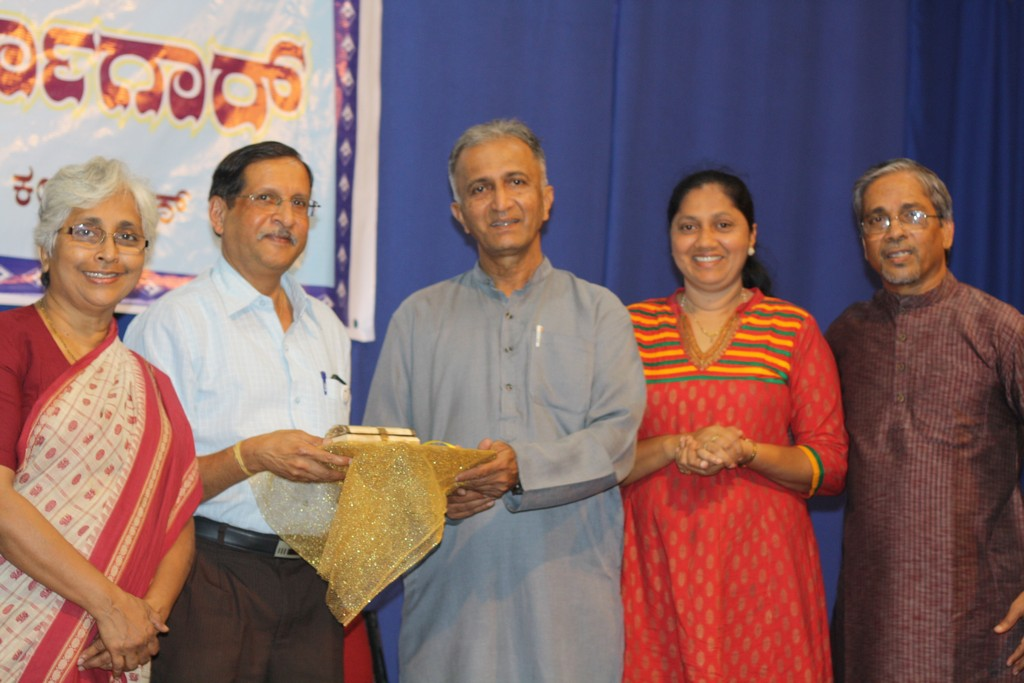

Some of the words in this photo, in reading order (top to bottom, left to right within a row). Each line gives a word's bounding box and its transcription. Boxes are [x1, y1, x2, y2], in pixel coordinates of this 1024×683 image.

[0, 14, 314, 139] ೯ದಾರ್